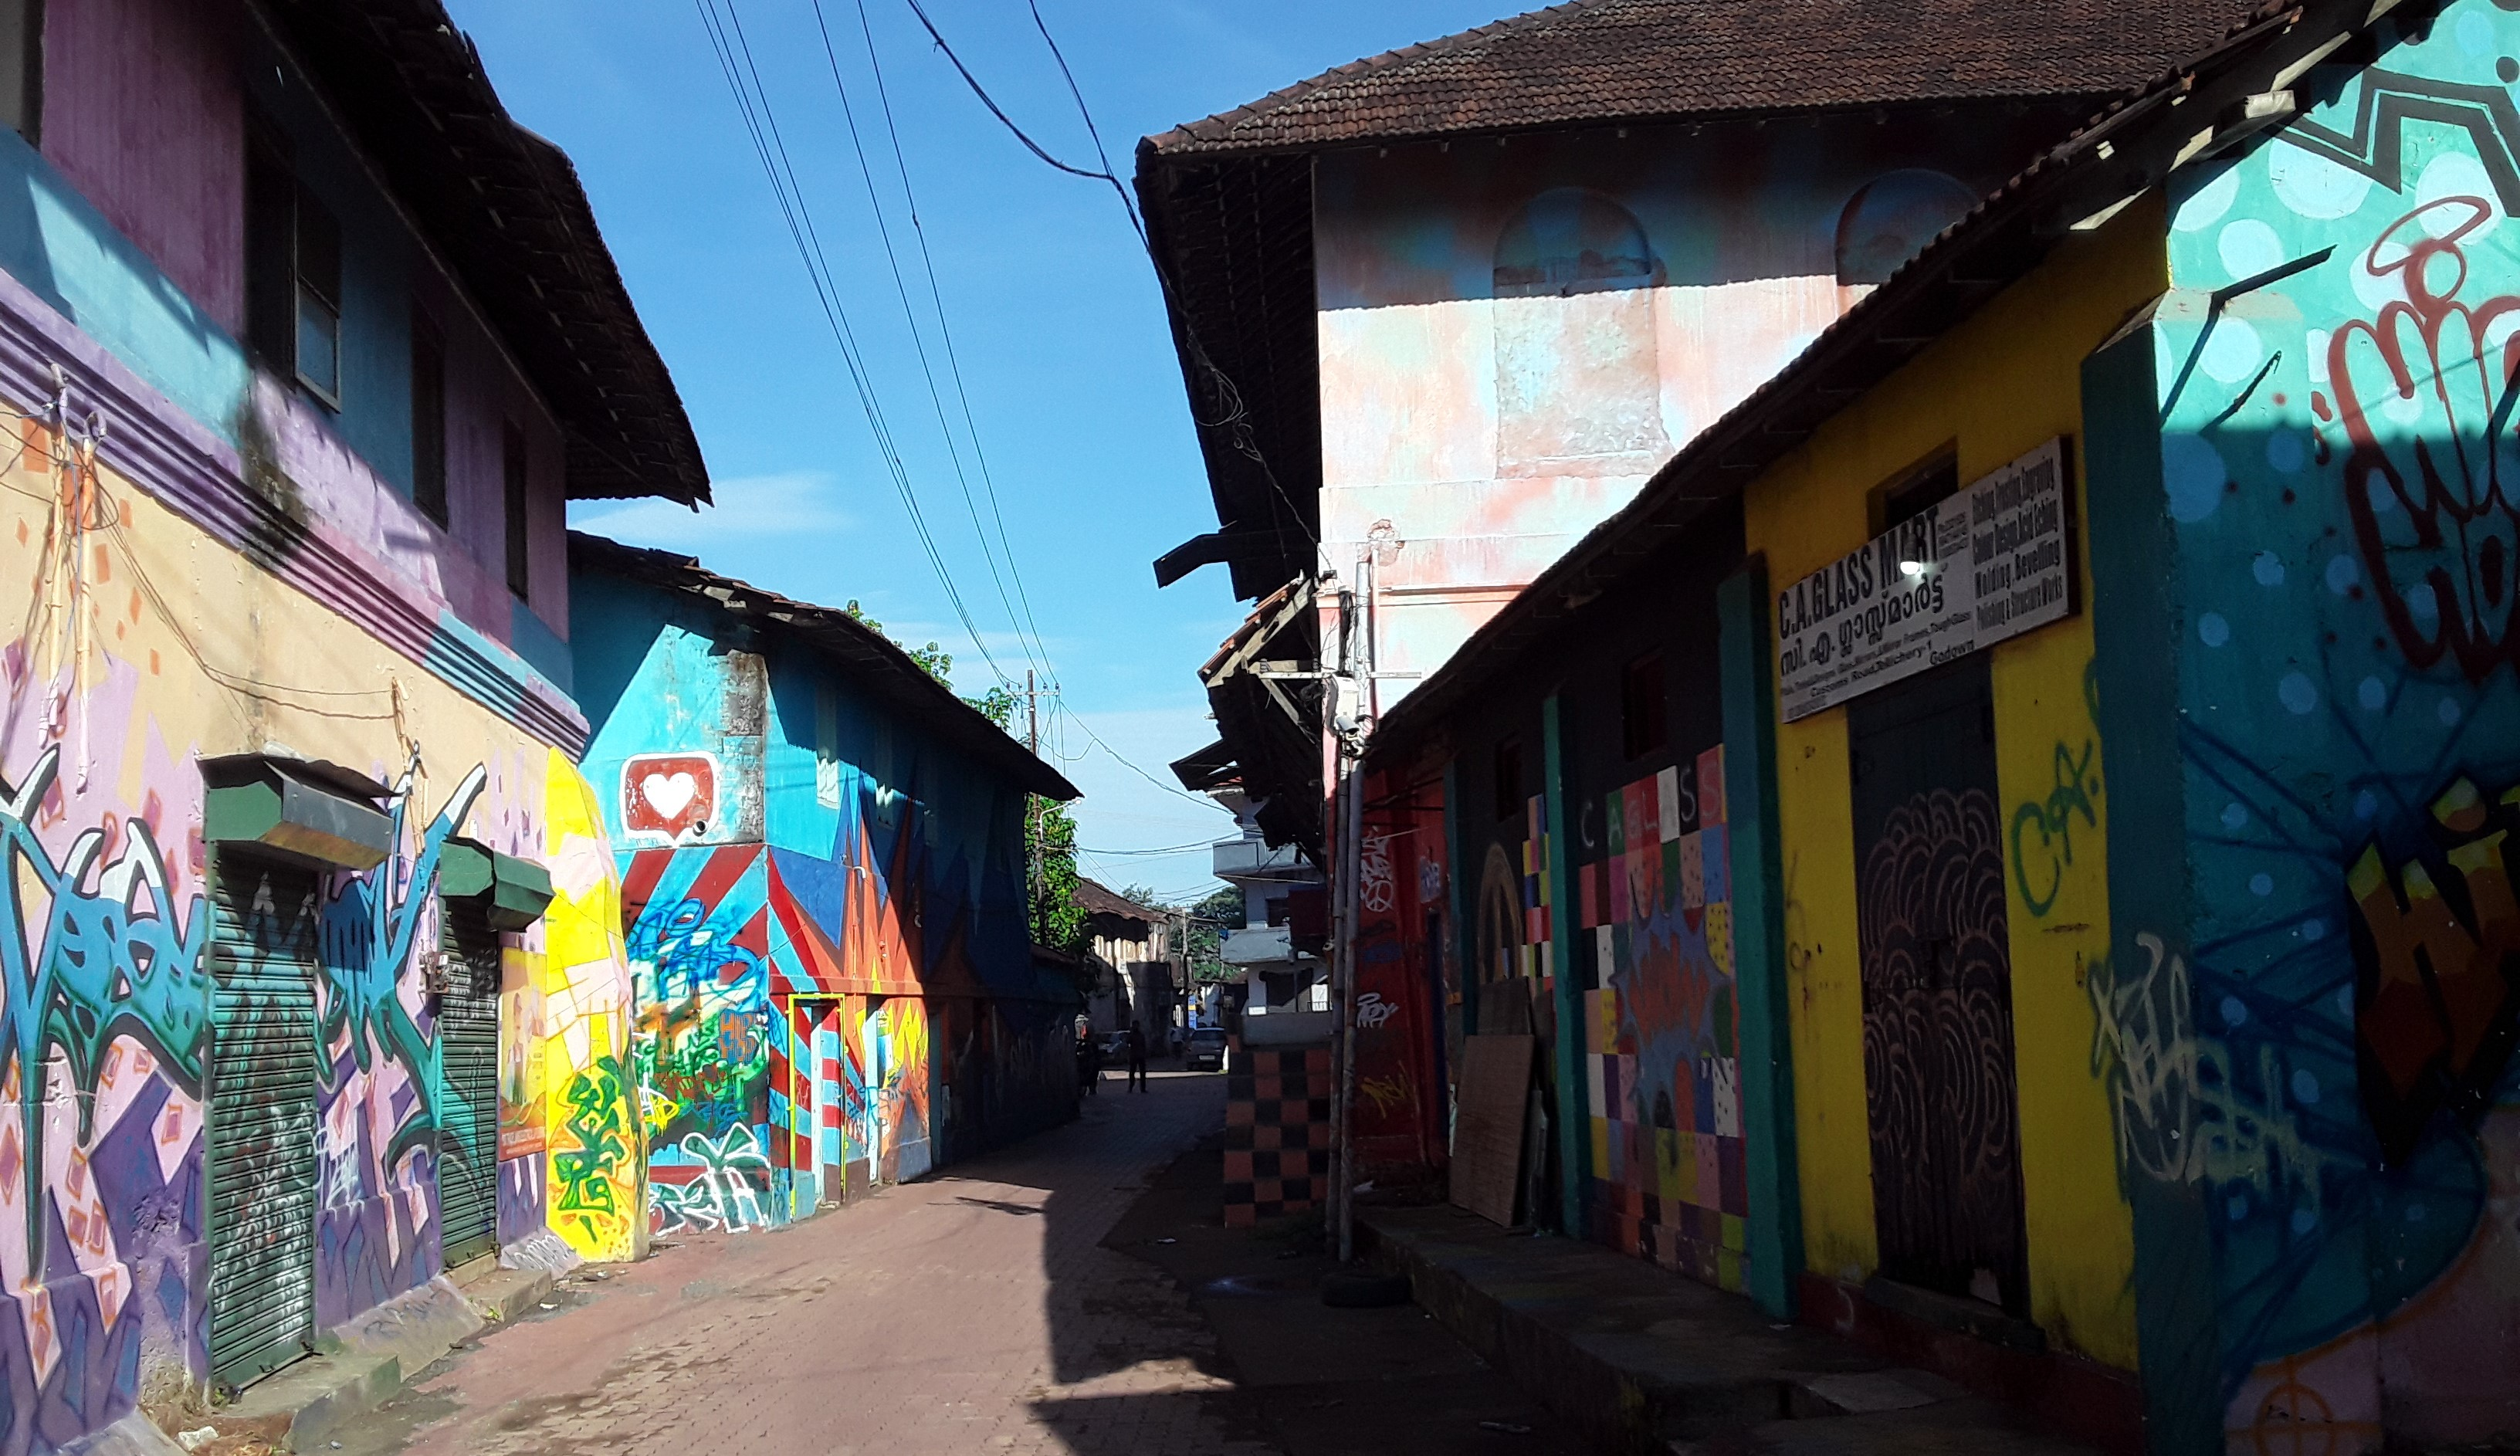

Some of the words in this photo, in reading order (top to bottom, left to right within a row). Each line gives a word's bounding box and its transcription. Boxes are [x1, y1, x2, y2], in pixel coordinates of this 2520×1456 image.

[1770, 538, 1877, 643] C.A.GLASS
[1837, 558, 1951, 662] ഗ്ലാസ്സ്മാർട്ട്
[1872, 501, 1942, 591] MART
[1971, 592, 2010, 634] Polishing
[1970, 557, 2013, 603] Holding
[2004, 569, 2068, 621] StructureWorks
[2011, 533, 2062, 583] Bevelling
[1773, 625, 1840, 679] സി.എ.
[1925, 634, 1978, 669] Godown
[1804, 672, 1851, 701] Customs